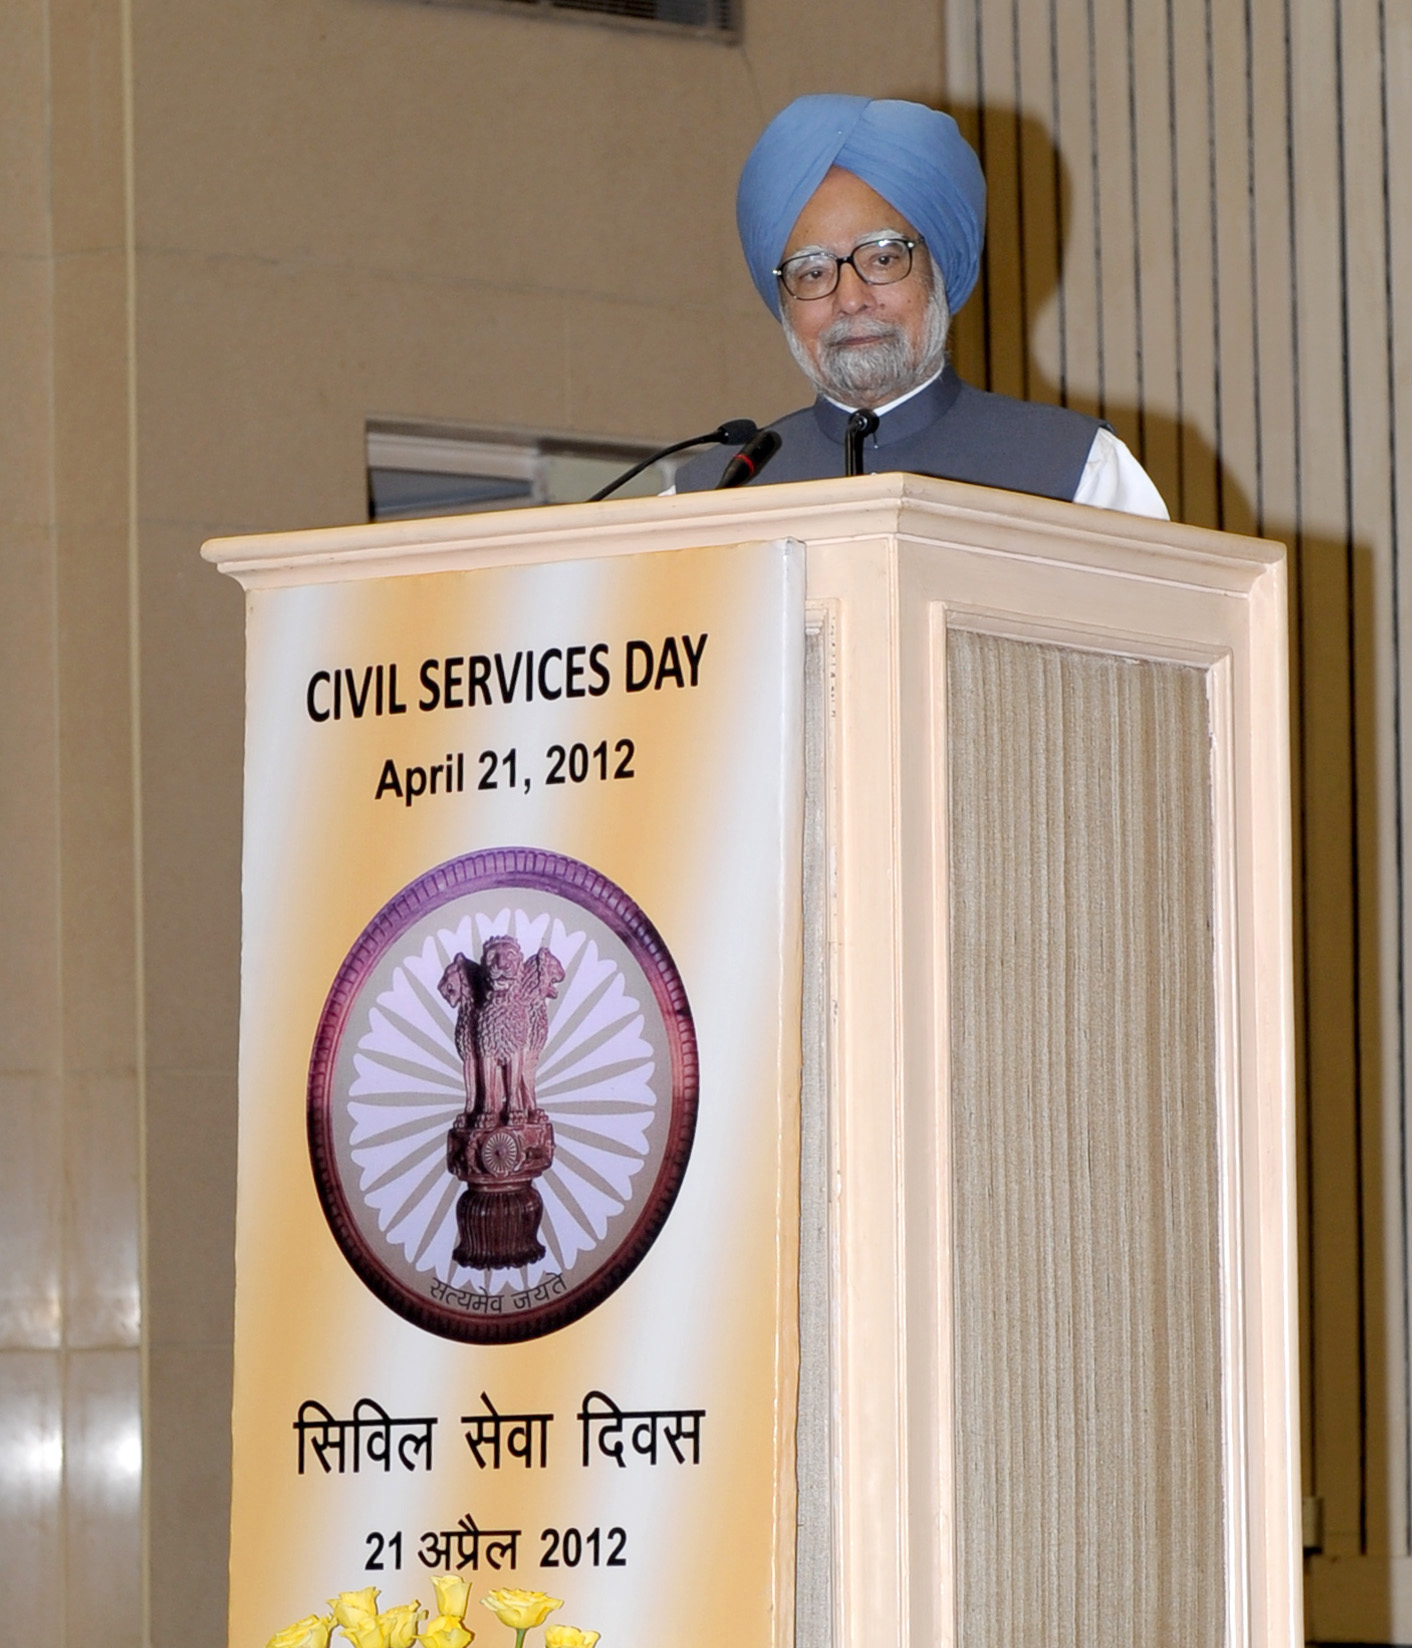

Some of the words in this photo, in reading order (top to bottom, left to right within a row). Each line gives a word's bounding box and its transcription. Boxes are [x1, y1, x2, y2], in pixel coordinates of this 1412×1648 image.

[301, 659, 412, 733] CIVIL
[415, 639, 616, 718] SERVICES
[621, 629, 713, 696] DAY
[371, 748, 470, 812] April
[473, 745, 521, 793] 21
[542, 737, 639, 790] 2012
[421, 1271, 505, 1317] सत्यमेव
[506, 1267, 573, 1313] जयते
[285, 1395, 442, 1478] सिविल
[460, 1386, 560, 1471] सेवा
[570, 1384, 707, 1473] दिवस
[353, 1524, 407, 1577] 21
[415, 1510, 522, 1576] अप्रैल
[533, 1523, 631, 1572] 2012